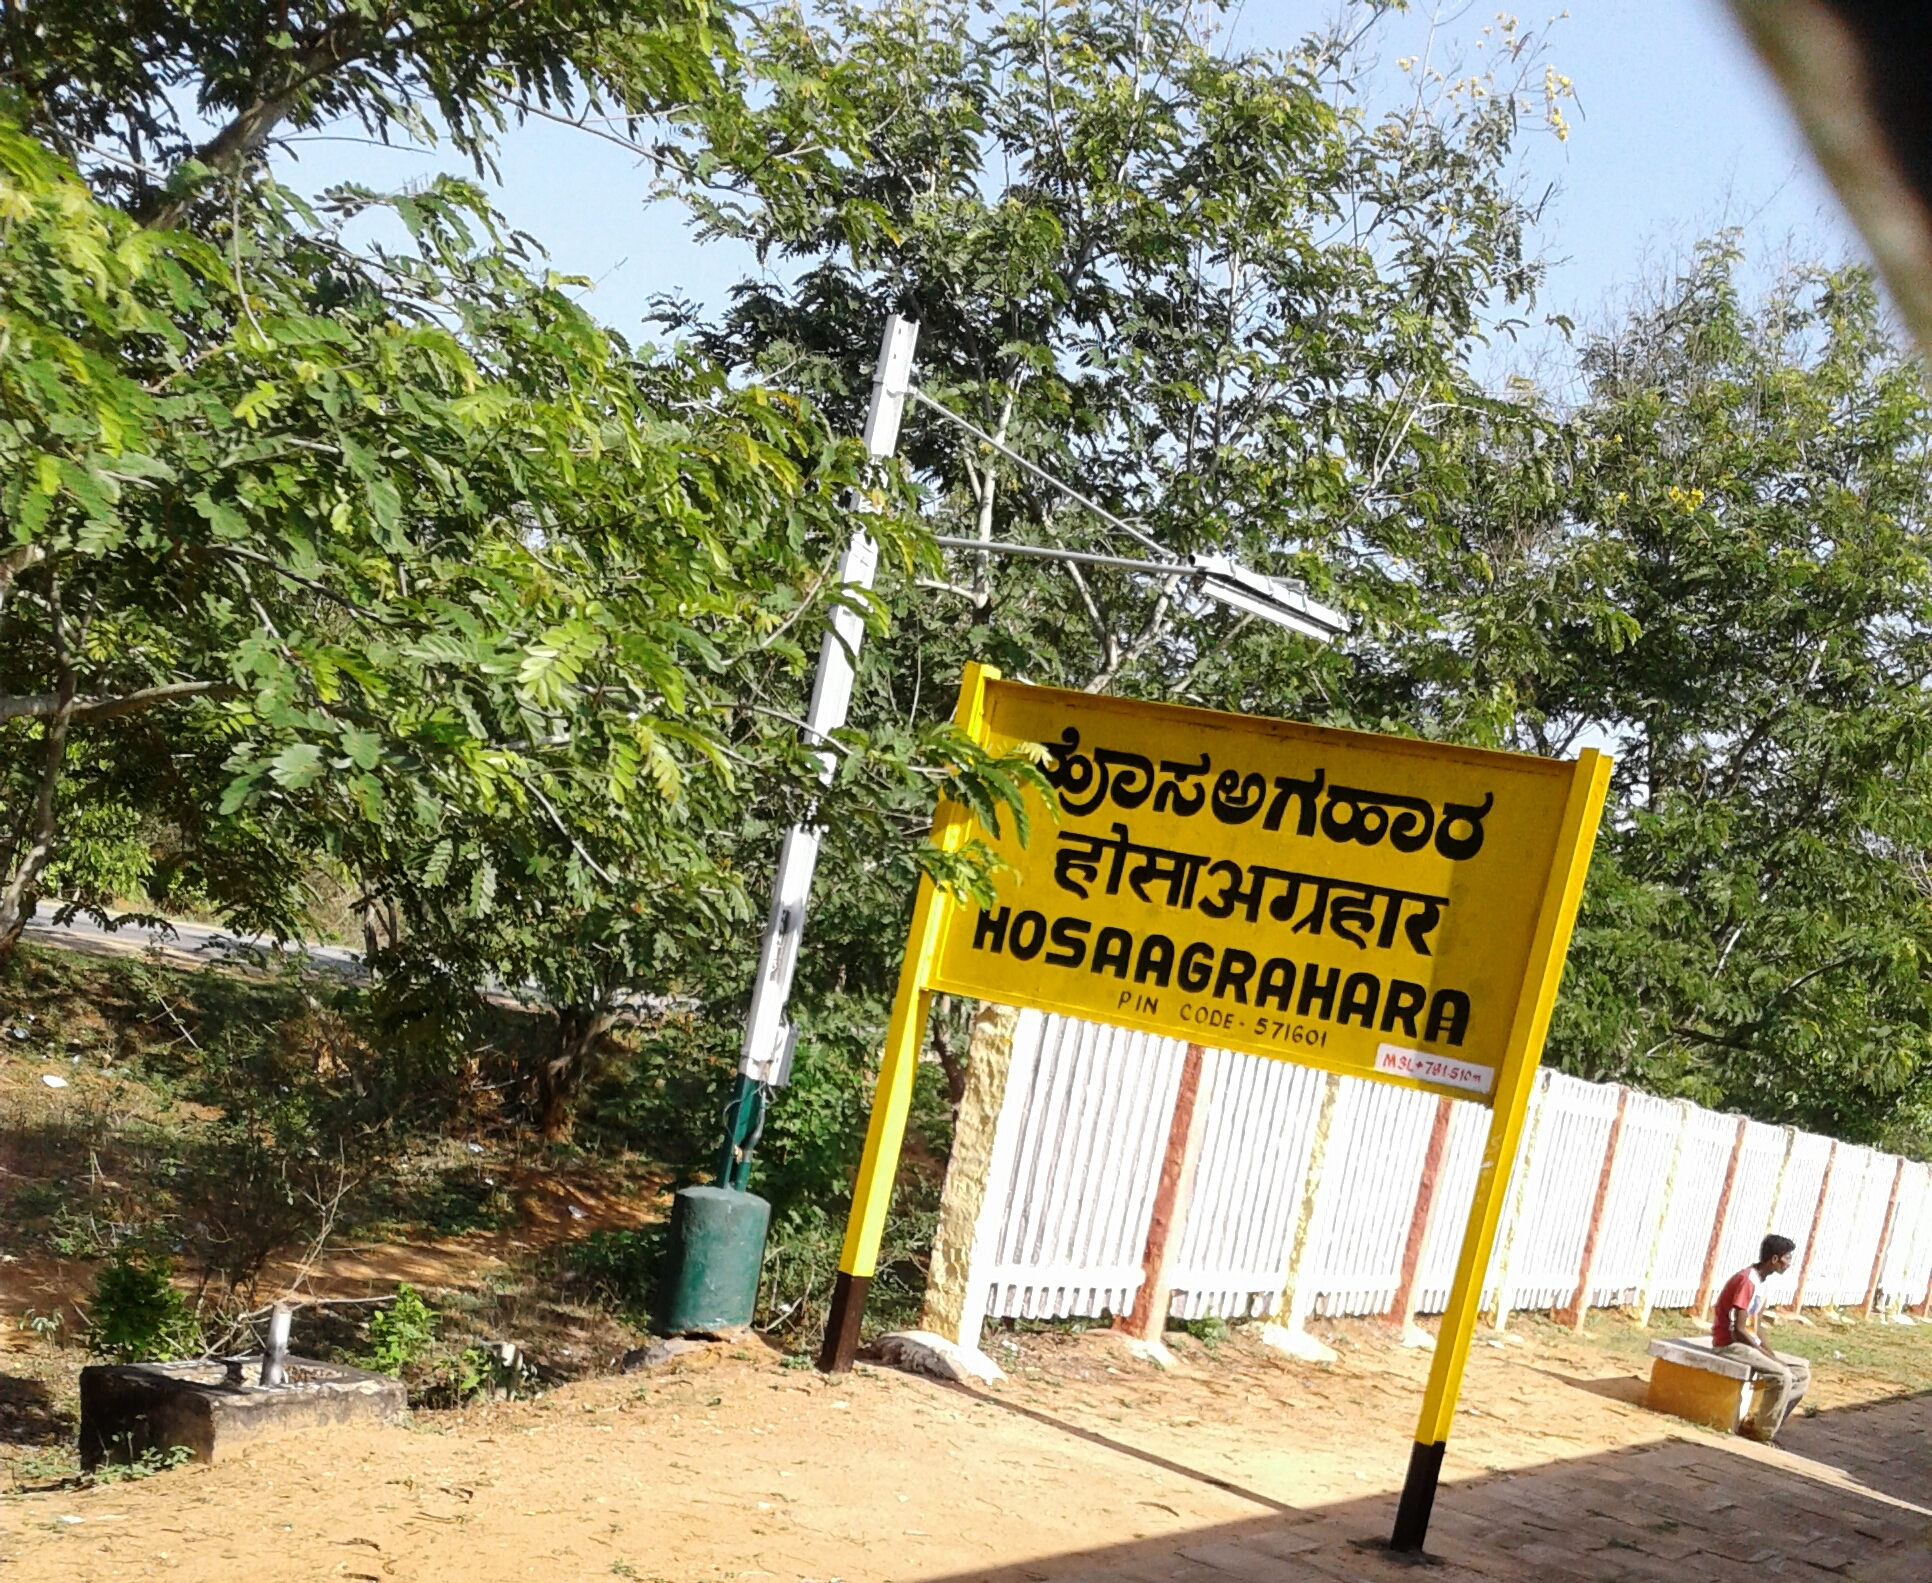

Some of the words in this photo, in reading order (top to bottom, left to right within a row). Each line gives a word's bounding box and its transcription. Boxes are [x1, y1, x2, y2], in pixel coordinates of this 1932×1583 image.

[1026, 719, 1501, 865] ಪೊಸಅಗಹಾರ
[1047, 814, 1453, 961] होसाअग्रहार
[967, 894, 1478, 1054] HOSAAGRAHARA
[1113, 985, 1164, 1019] PIN
[1172, 999, 1241, 1033] CODE
[1249, 1013, 1332, 1053] 571601
[1379, 1047, 1487, 1093] MSL+781.510m